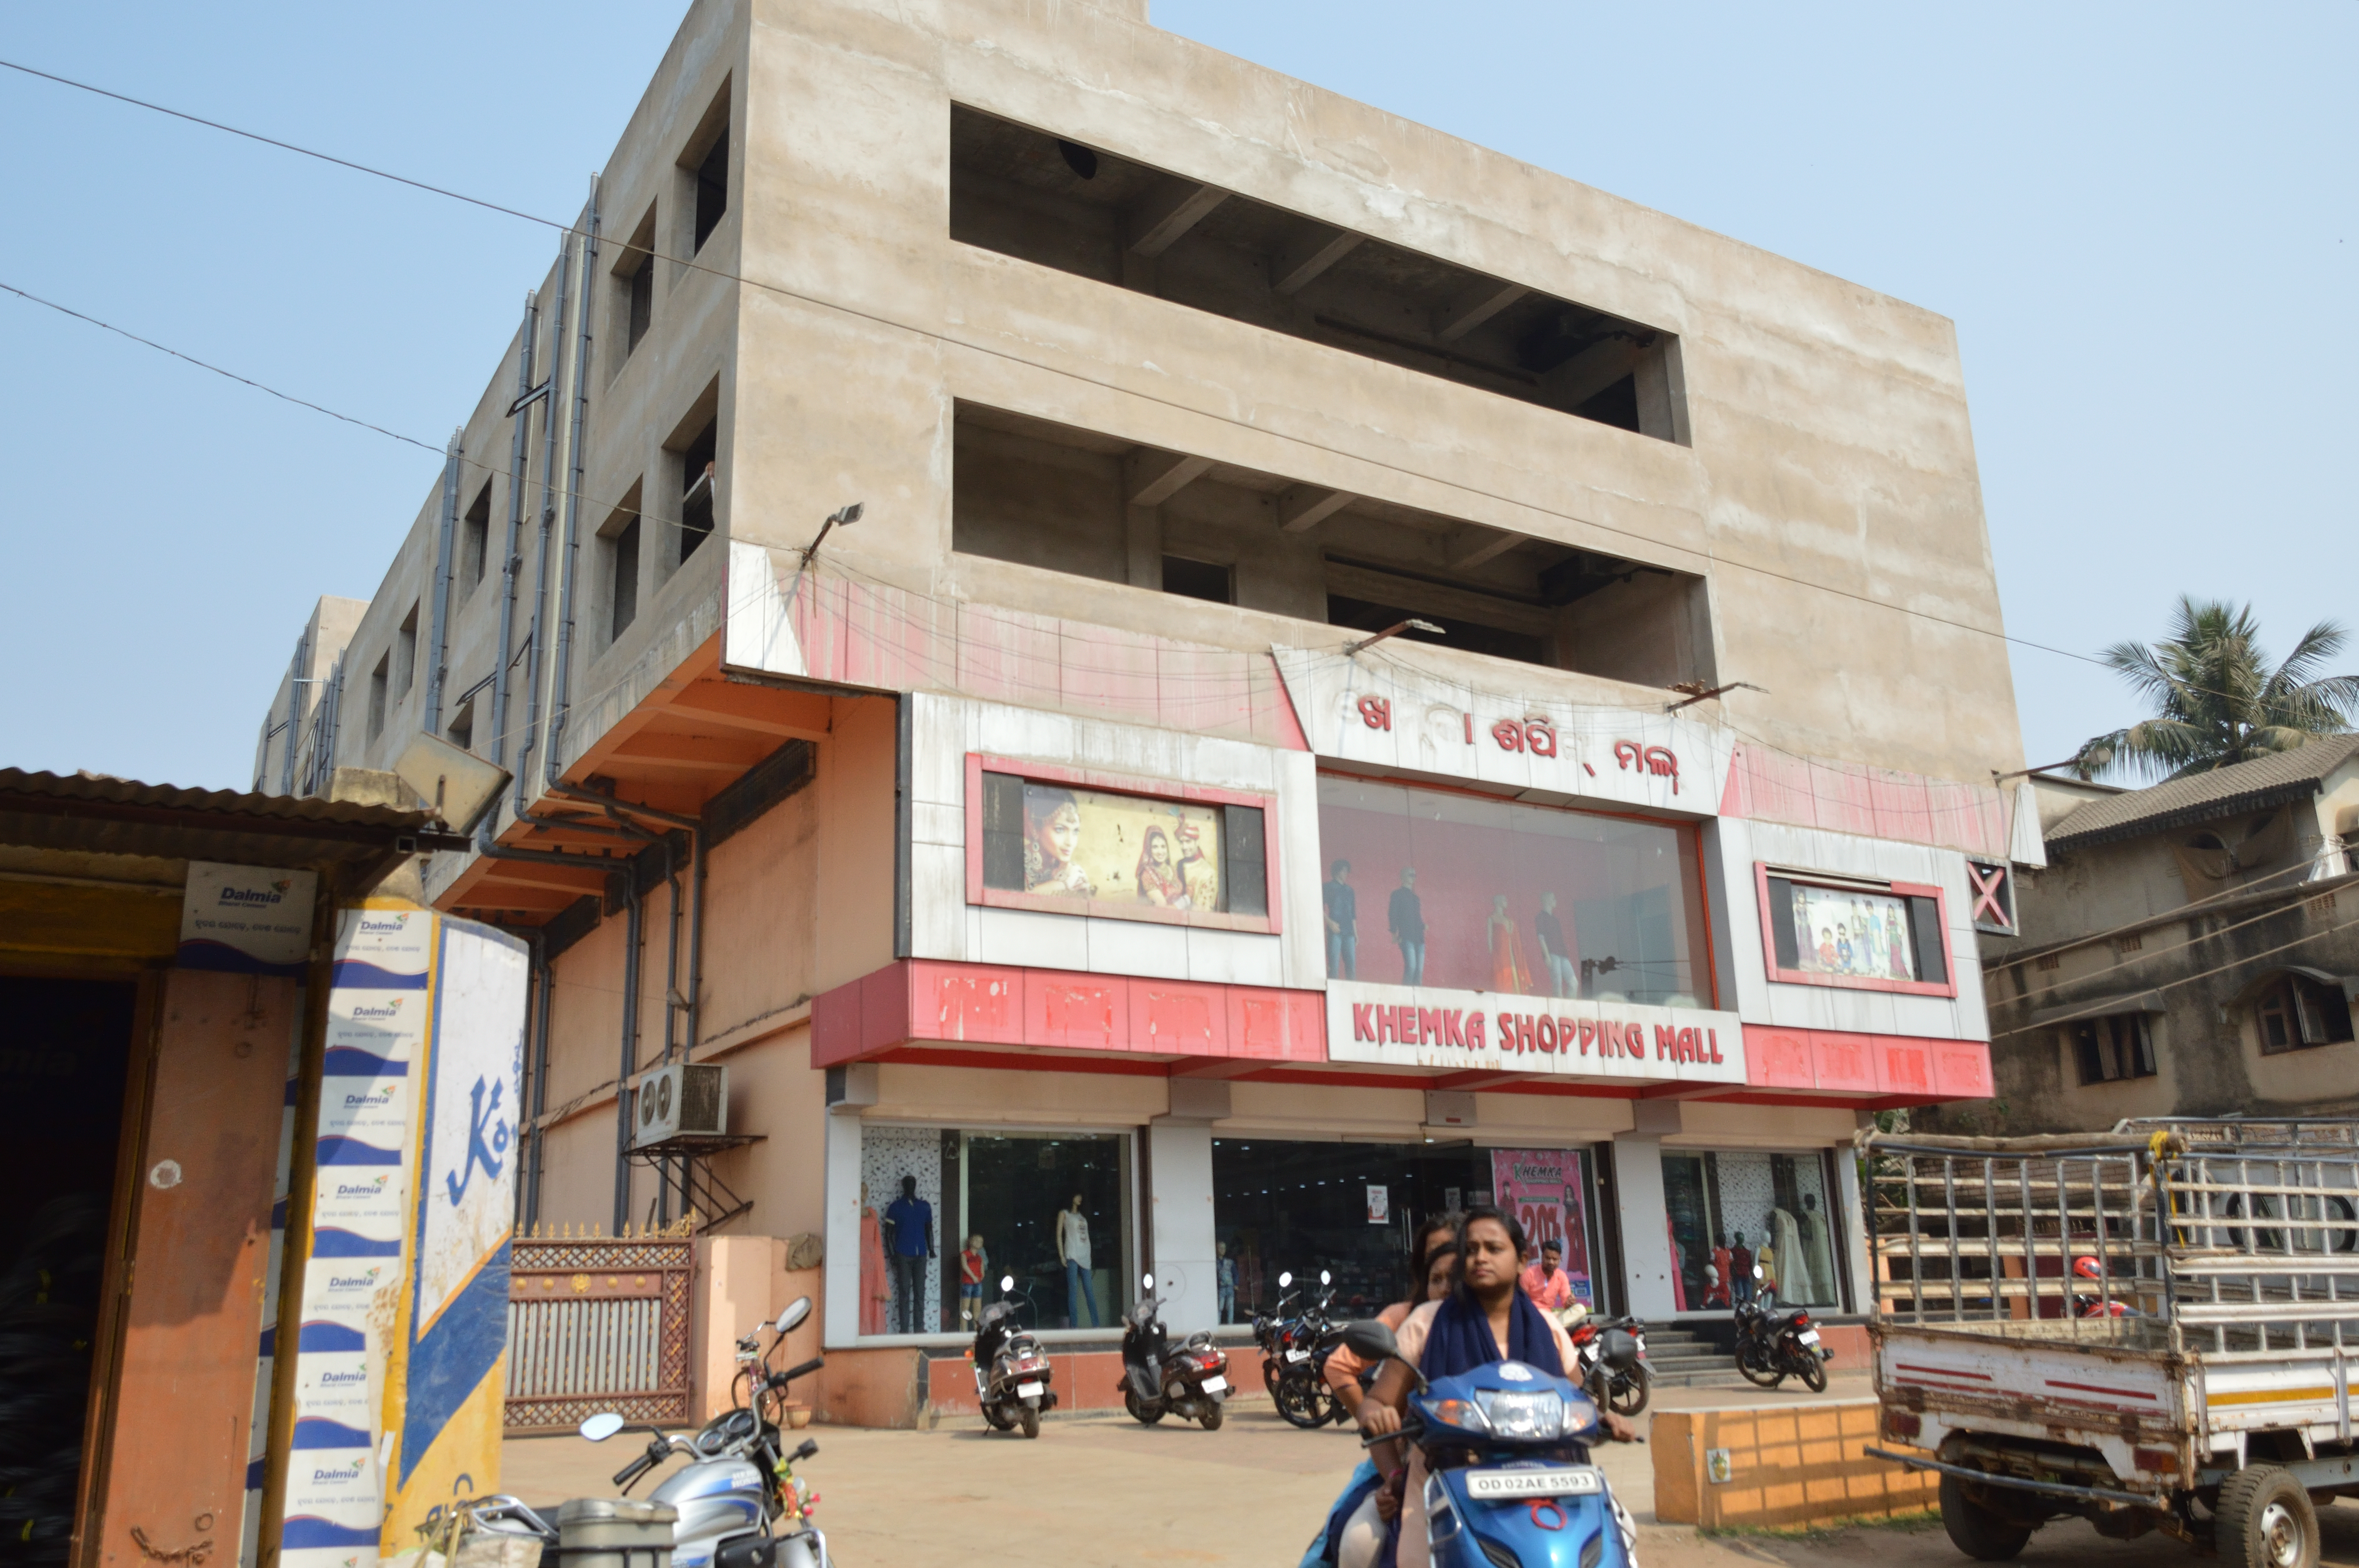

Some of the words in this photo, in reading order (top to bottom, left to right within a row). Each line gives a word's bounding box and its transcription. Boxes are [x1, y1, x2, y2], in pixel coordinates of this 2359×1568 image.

[1493, 701, 1563, 763] ଶପି
[1610, 735, 1684, 798] ମଲ୍
[217, 881, 290, 906] Dalmia
[355, 916, 408, 935] Dalmia
[348, 1003, 397, 1020] Dalmia
[1352, 999, 1489, 1052] KHEMKA
[1497, 1010, 1647, 1063] SHOPPING
[1645, 1014, 1729, 1071] MALL
[344, 1091, 392, 1108] Dalmia
[333, 1182, 382, 1197] Dalmia
[328, 1274, 376, 1290] Dalmia
[320, 1367, 367, 1386] Dalmia